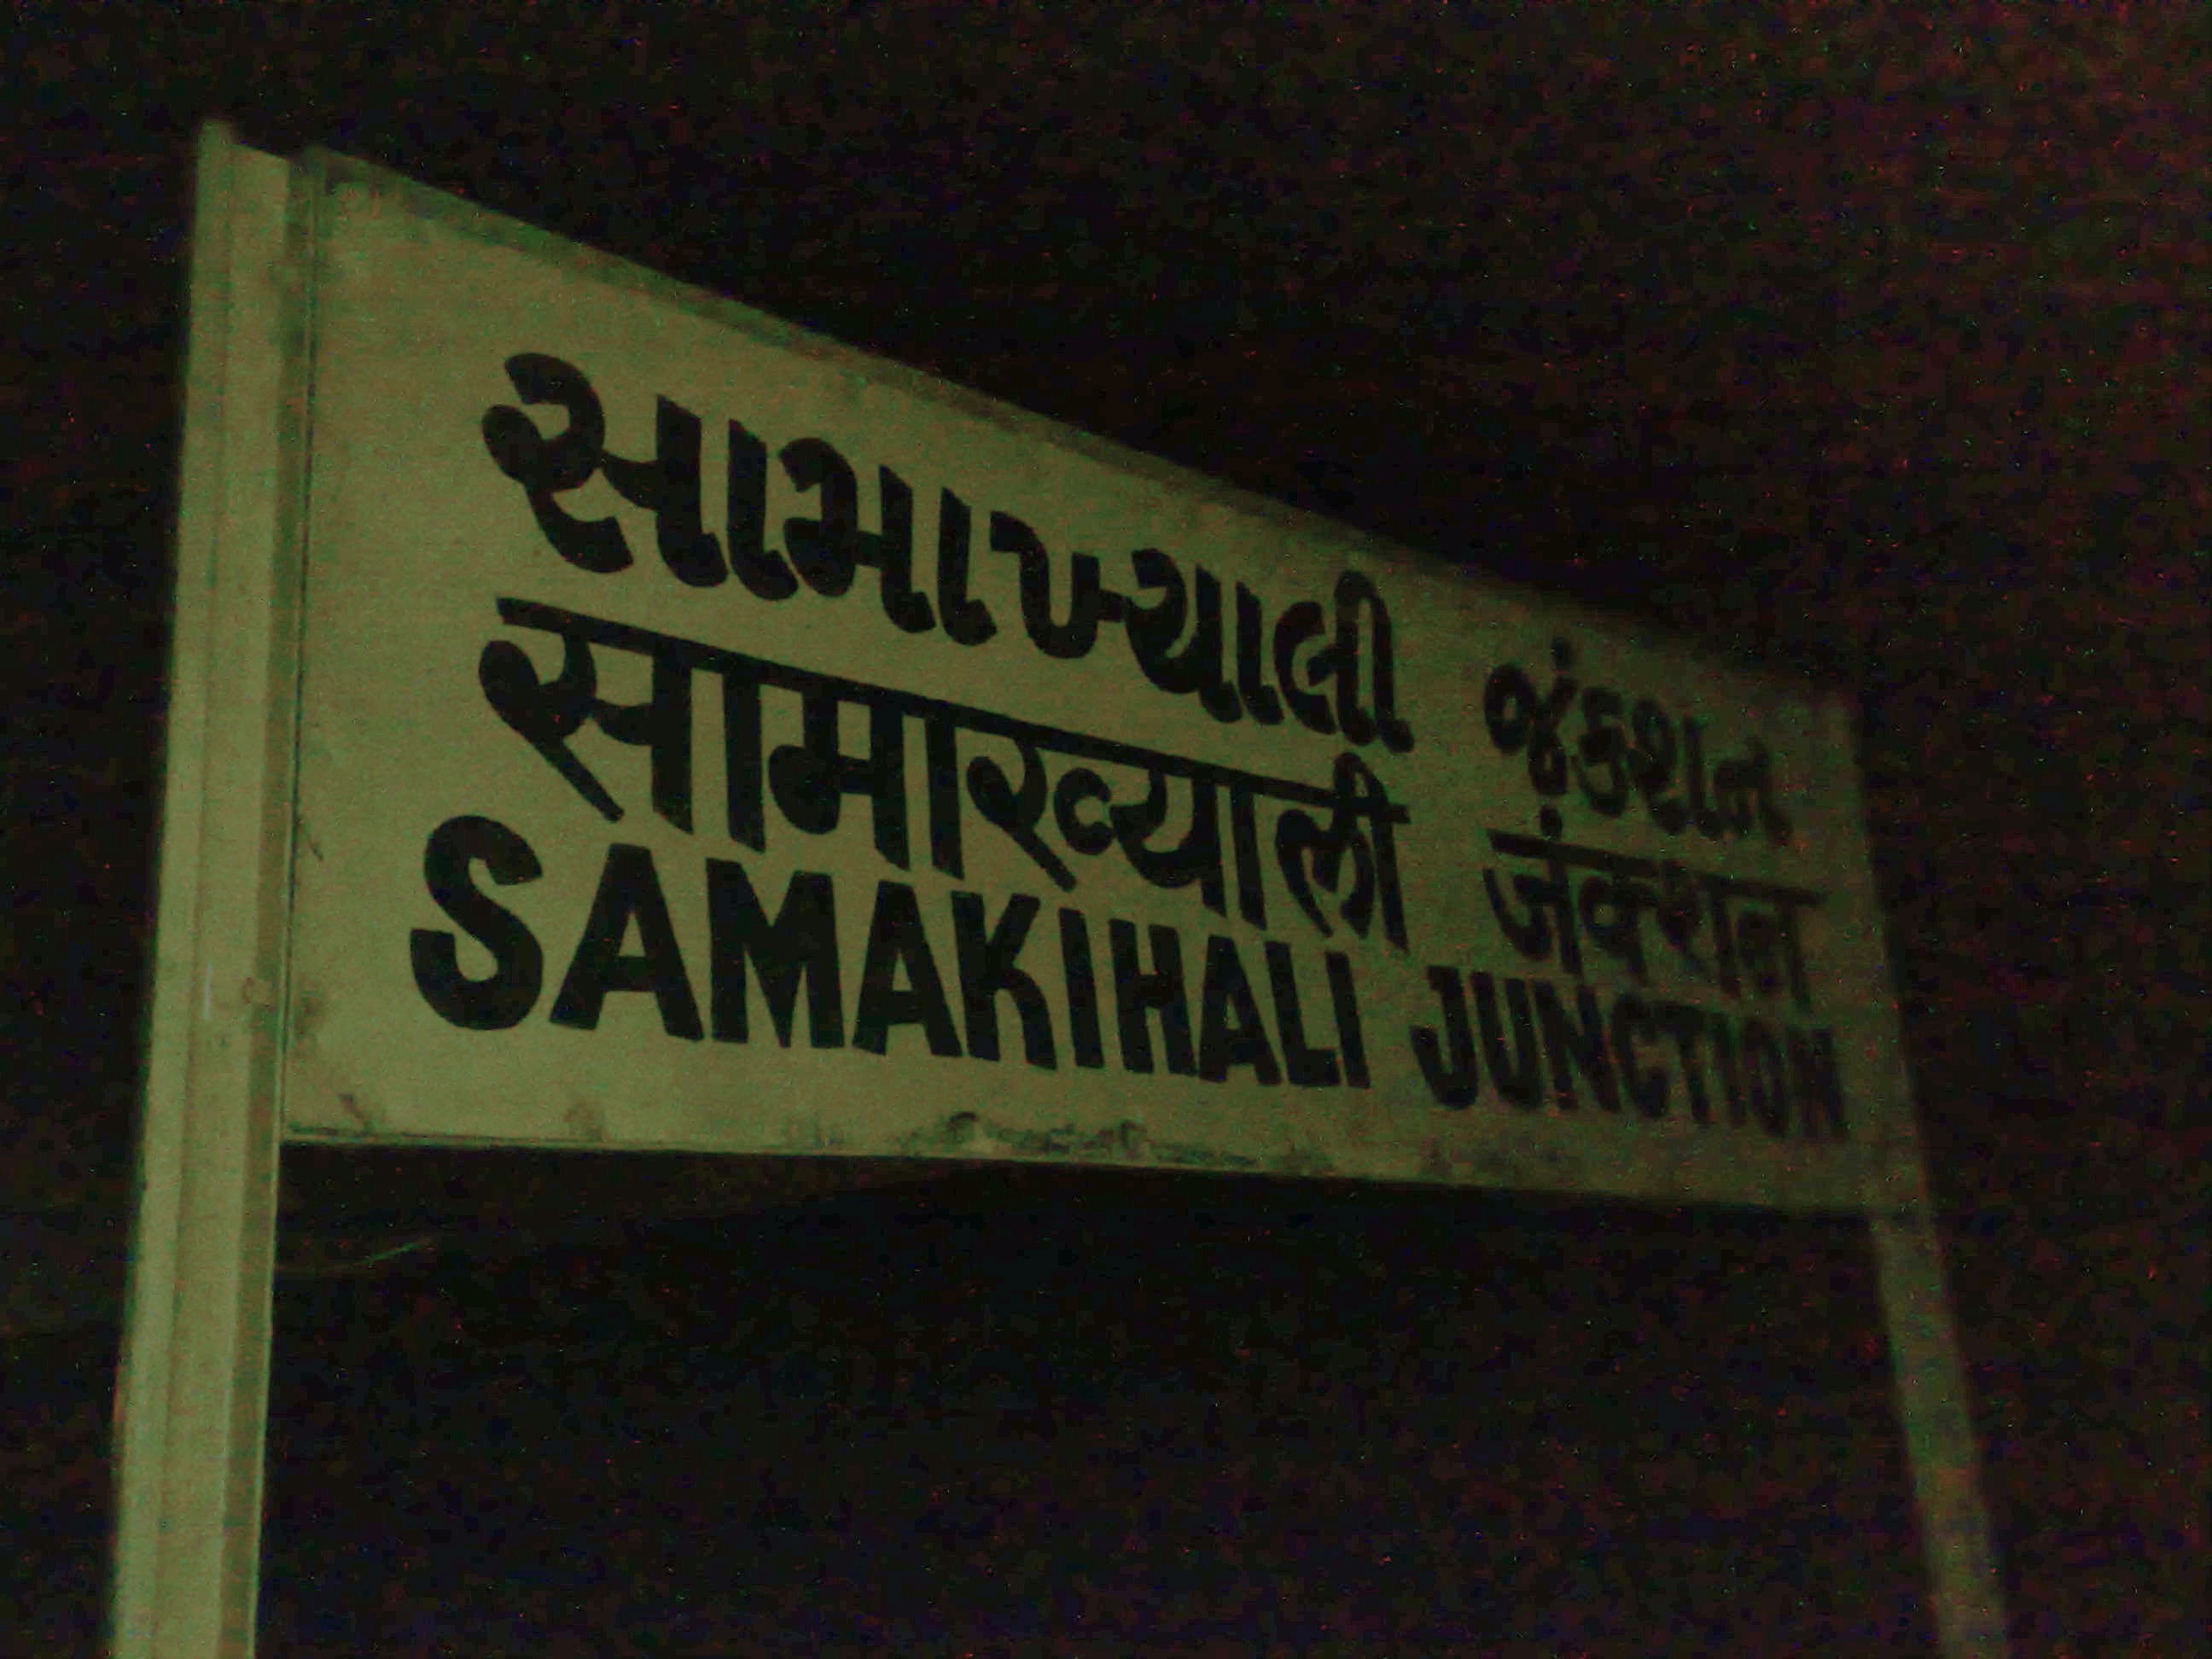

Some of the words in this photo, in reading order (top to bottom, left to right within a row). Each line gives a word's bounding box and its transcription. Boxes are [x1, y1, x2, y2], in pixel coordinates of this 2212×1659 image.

[473, 338, 1430, 758] સામાખ્યાલી
[398, 809, 1382, 1108] SAMAKIHALI
[461, 580, 1417, 961] सामाख्याली
[1394, 958, 1867, 1157] JUNCTION
[1471, 628, 1806, 848] જંક્શન
[1471, 797, 1837, 1012] जंक्शन